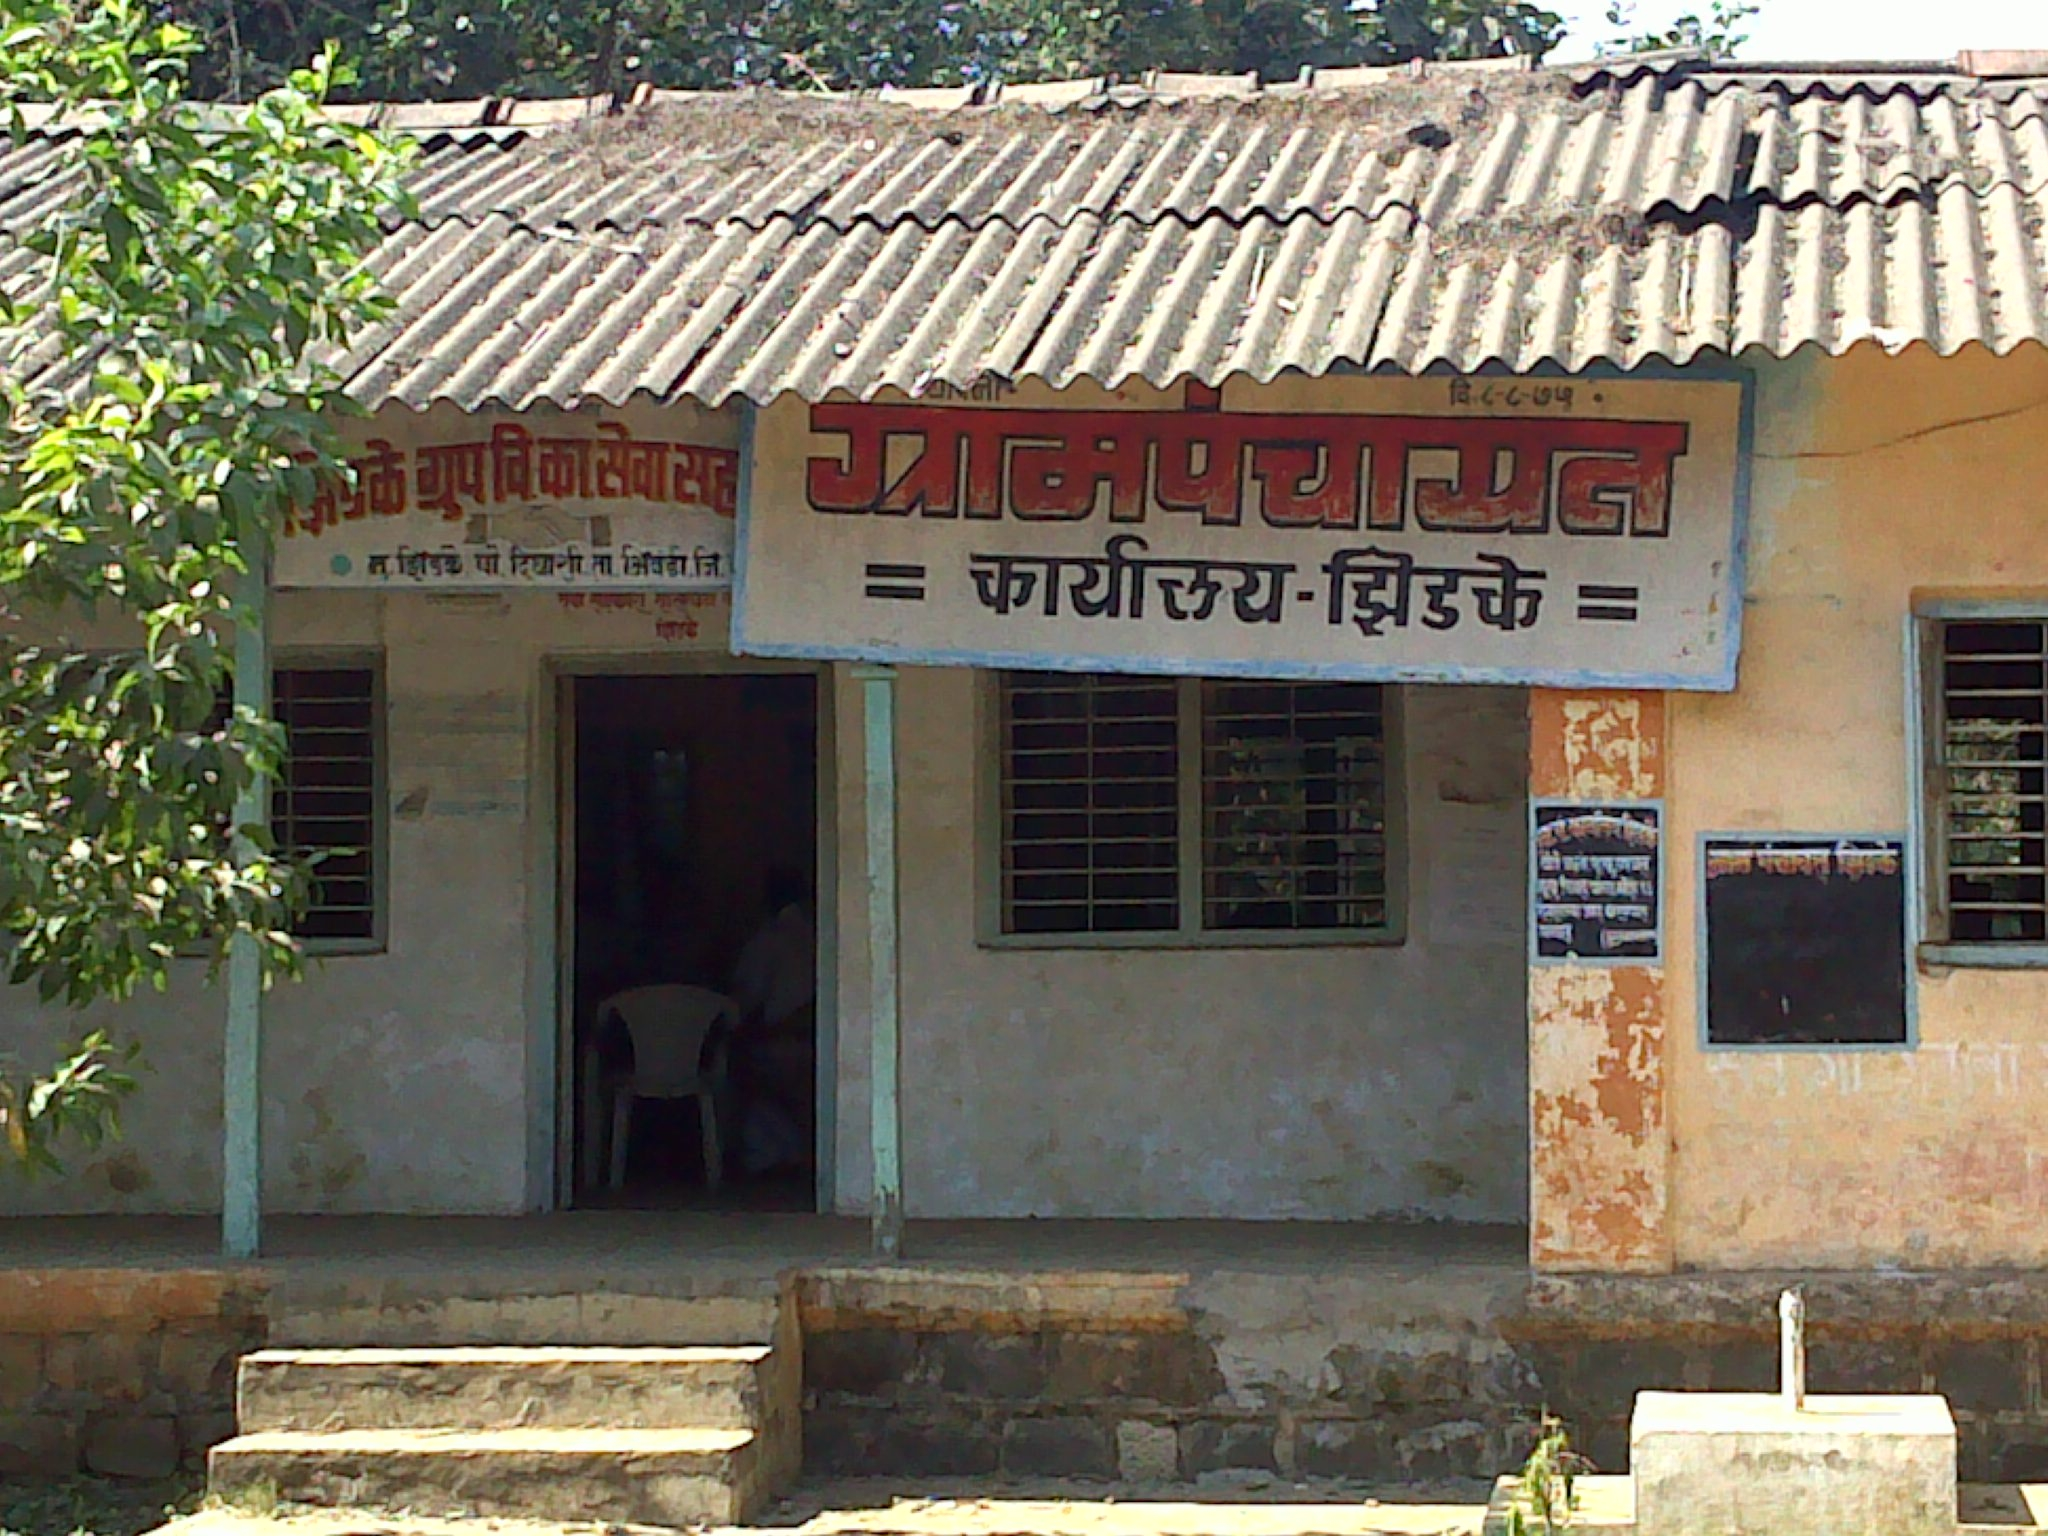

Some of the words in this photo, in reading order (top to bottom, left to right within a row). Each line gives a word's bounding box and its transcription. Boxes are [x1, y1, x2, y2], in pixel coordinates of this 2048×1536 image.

[410, 431, 490, 525] ग्रुप
[485, 418, 536, 508] वि
[537, 428, 596, 506] का
[593, 412, 674, 514] सेवा
[672, 436, 741, 528] सह
[796, 368, 1702, 552] ग्रामपंचायत
[471, 534, 509, 583] पो.
[587, 541, 625, 591] ता
[687, 541, 729, 585] जि.
[954, 530, 1322, 646] कार्यालय-
[1306, 538, 1564, 652] झिडके